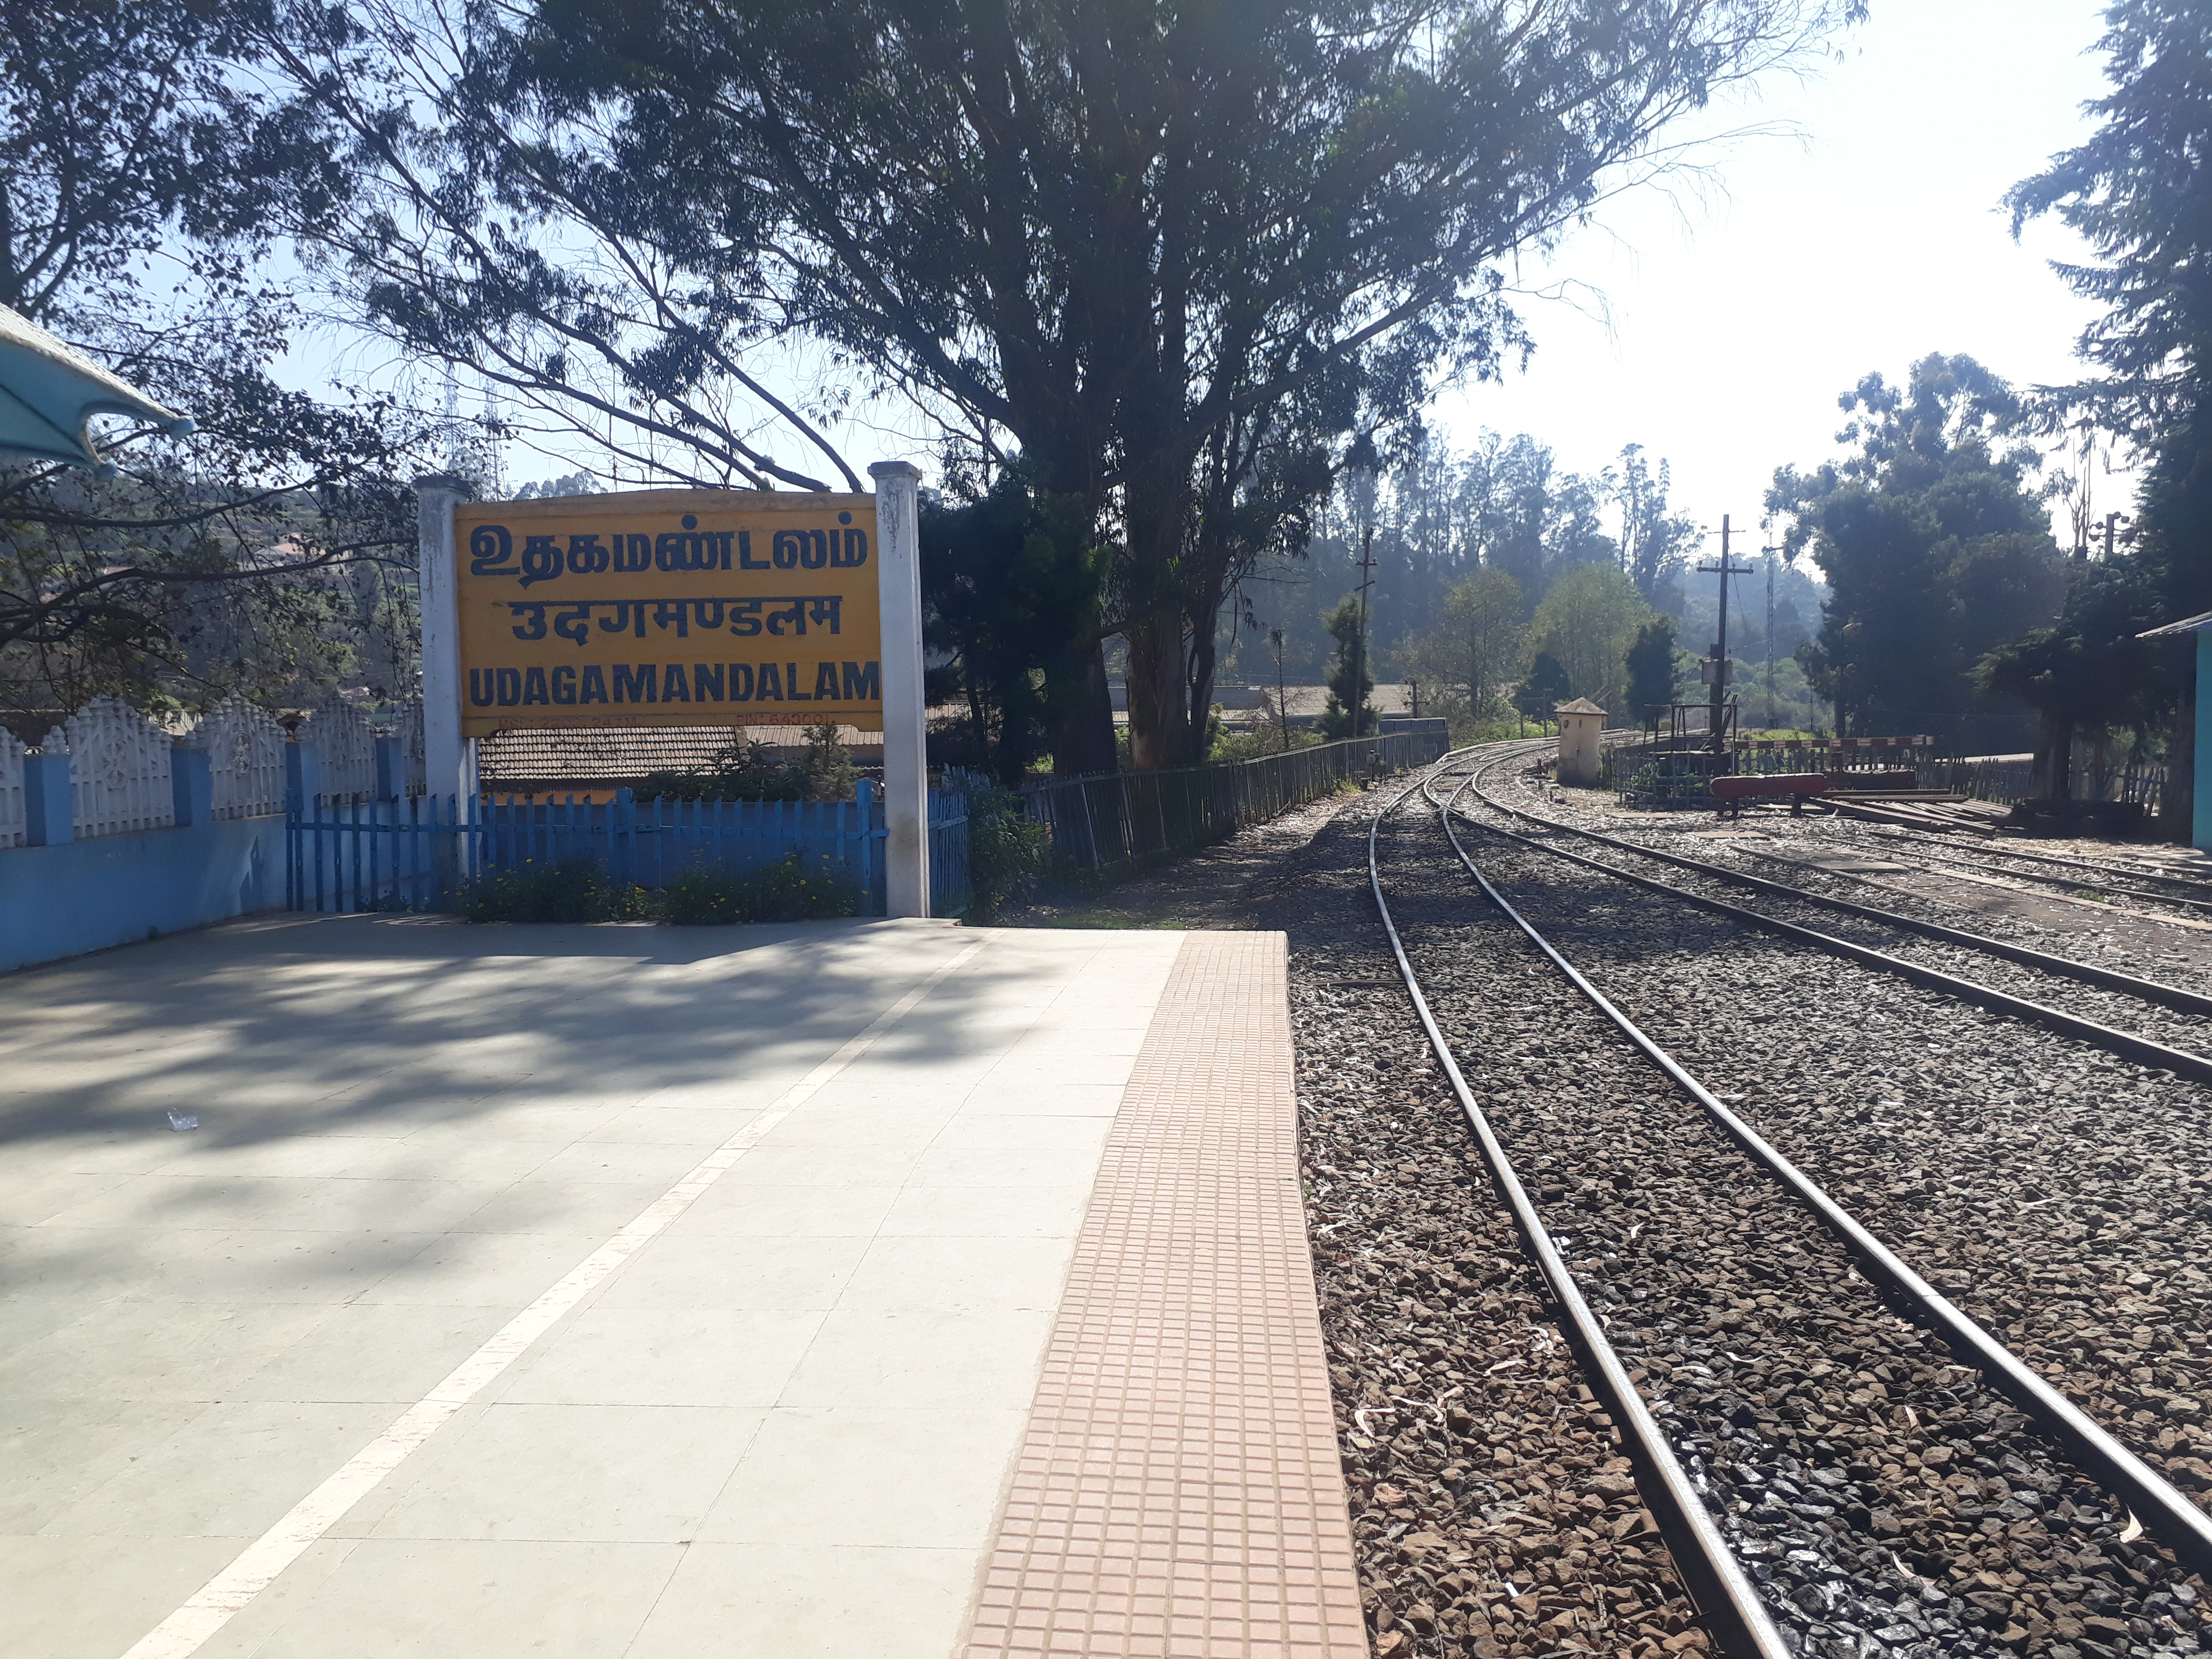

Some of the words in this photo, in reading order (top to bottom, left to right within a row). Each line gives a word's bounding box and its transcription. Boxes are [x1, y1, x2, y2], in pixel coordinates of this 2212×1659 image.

[462, 504, 873, 595] உதகமண்டலம்
[509, 589, 843, 649] उदगमण्डलम
[465, 656, 881, 709] UDAGAMANDALAM